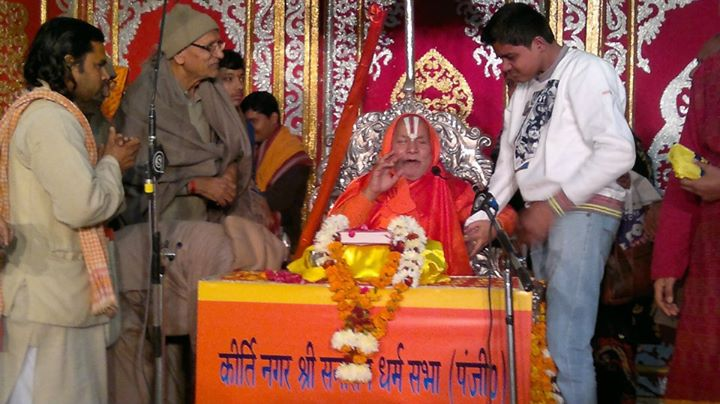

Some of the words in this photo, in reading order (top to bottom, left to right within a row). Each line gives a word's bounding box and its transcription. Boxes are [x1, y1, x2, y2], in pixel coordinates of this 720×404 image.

[209, 332, 263, 389] कीर्ति
[259, 350, 296, 393] नगर
[292, 335, 320, 392] श्री
[375, 336, 411, 397] धर्म
[406, 354, 444, 397] सभा
[448, 343, 501, 402] पंजी